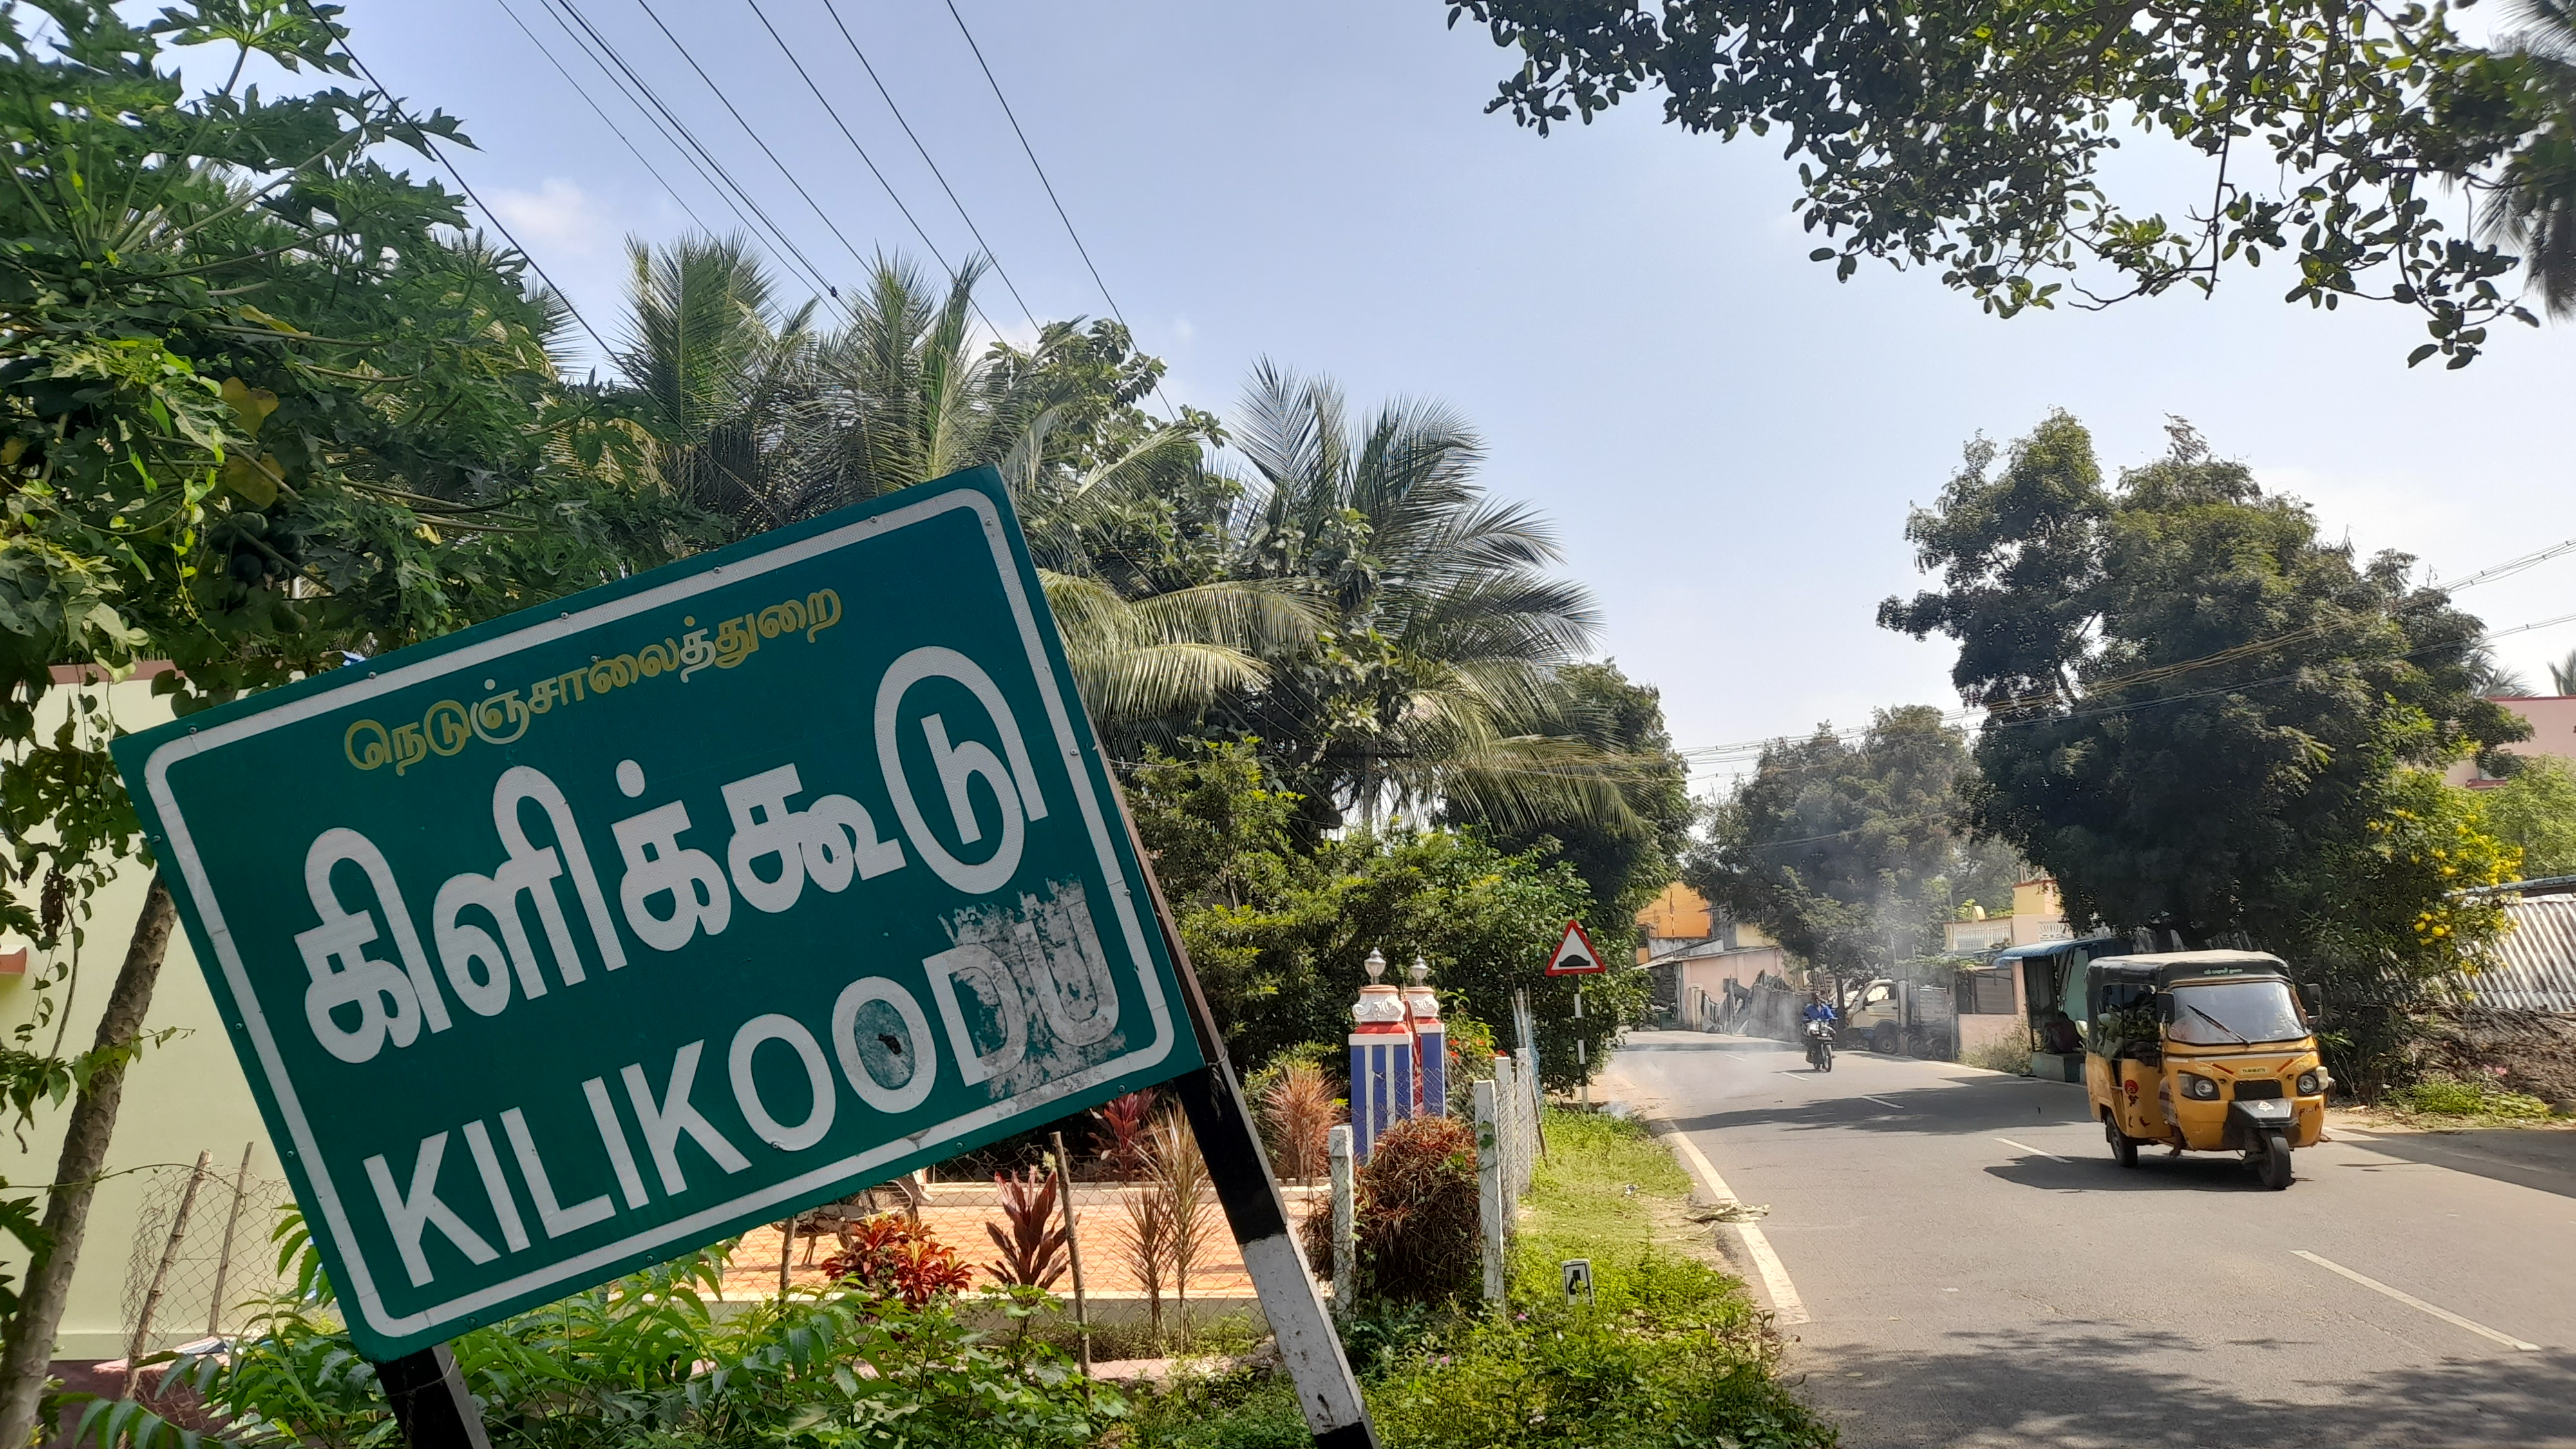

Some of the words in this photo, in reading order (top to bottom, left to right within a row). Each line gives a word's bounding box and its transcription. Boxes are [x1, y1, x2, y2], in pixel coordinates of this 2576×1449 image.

[332, 584, 848, 784] நெடுஞ்சாலைத்துறை
[280, 635, 1059, 1075] கிளிக்கூடு
[357, 895, 1128, 1298] KILIKOODU